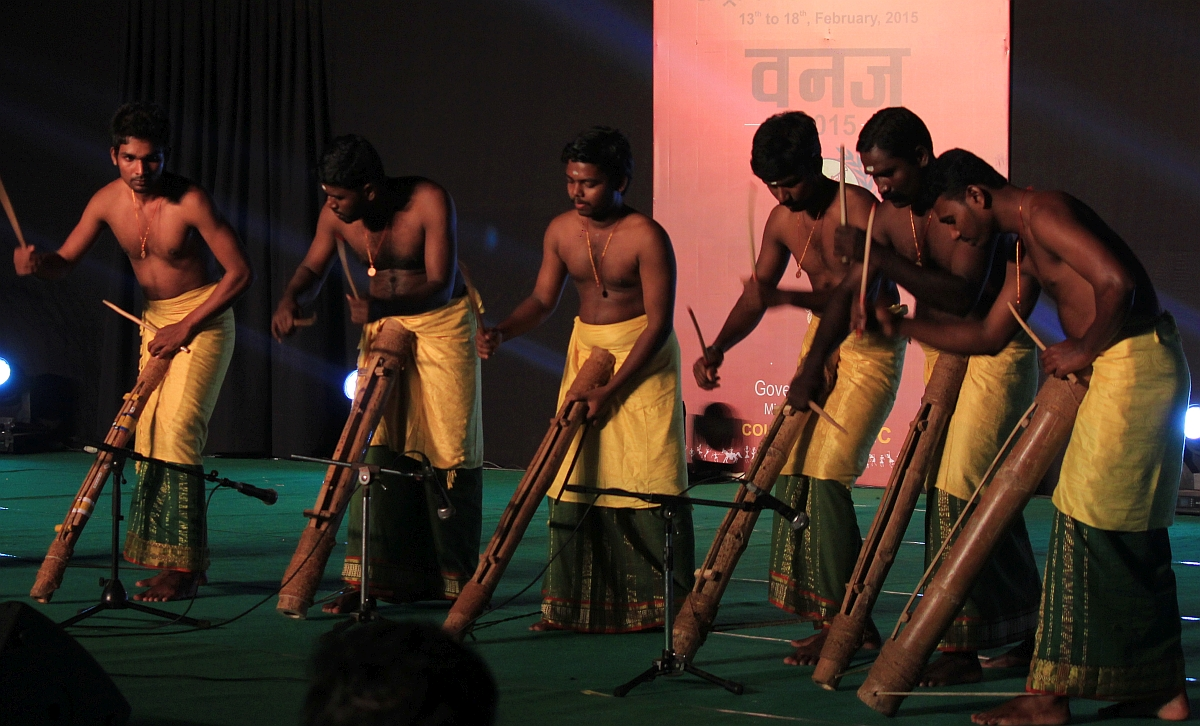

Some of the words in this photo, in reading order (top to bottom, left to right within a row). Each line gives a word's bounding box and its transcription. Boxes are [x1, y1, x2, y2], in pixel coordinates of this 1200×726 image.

[737, 7, 766, 27] 13th
[783, 8, 809, 27] 18th
[814, 9, 880, 29] February,
[881, 9, 920, 26] 2015
[747, 47, 913, 112] वनज